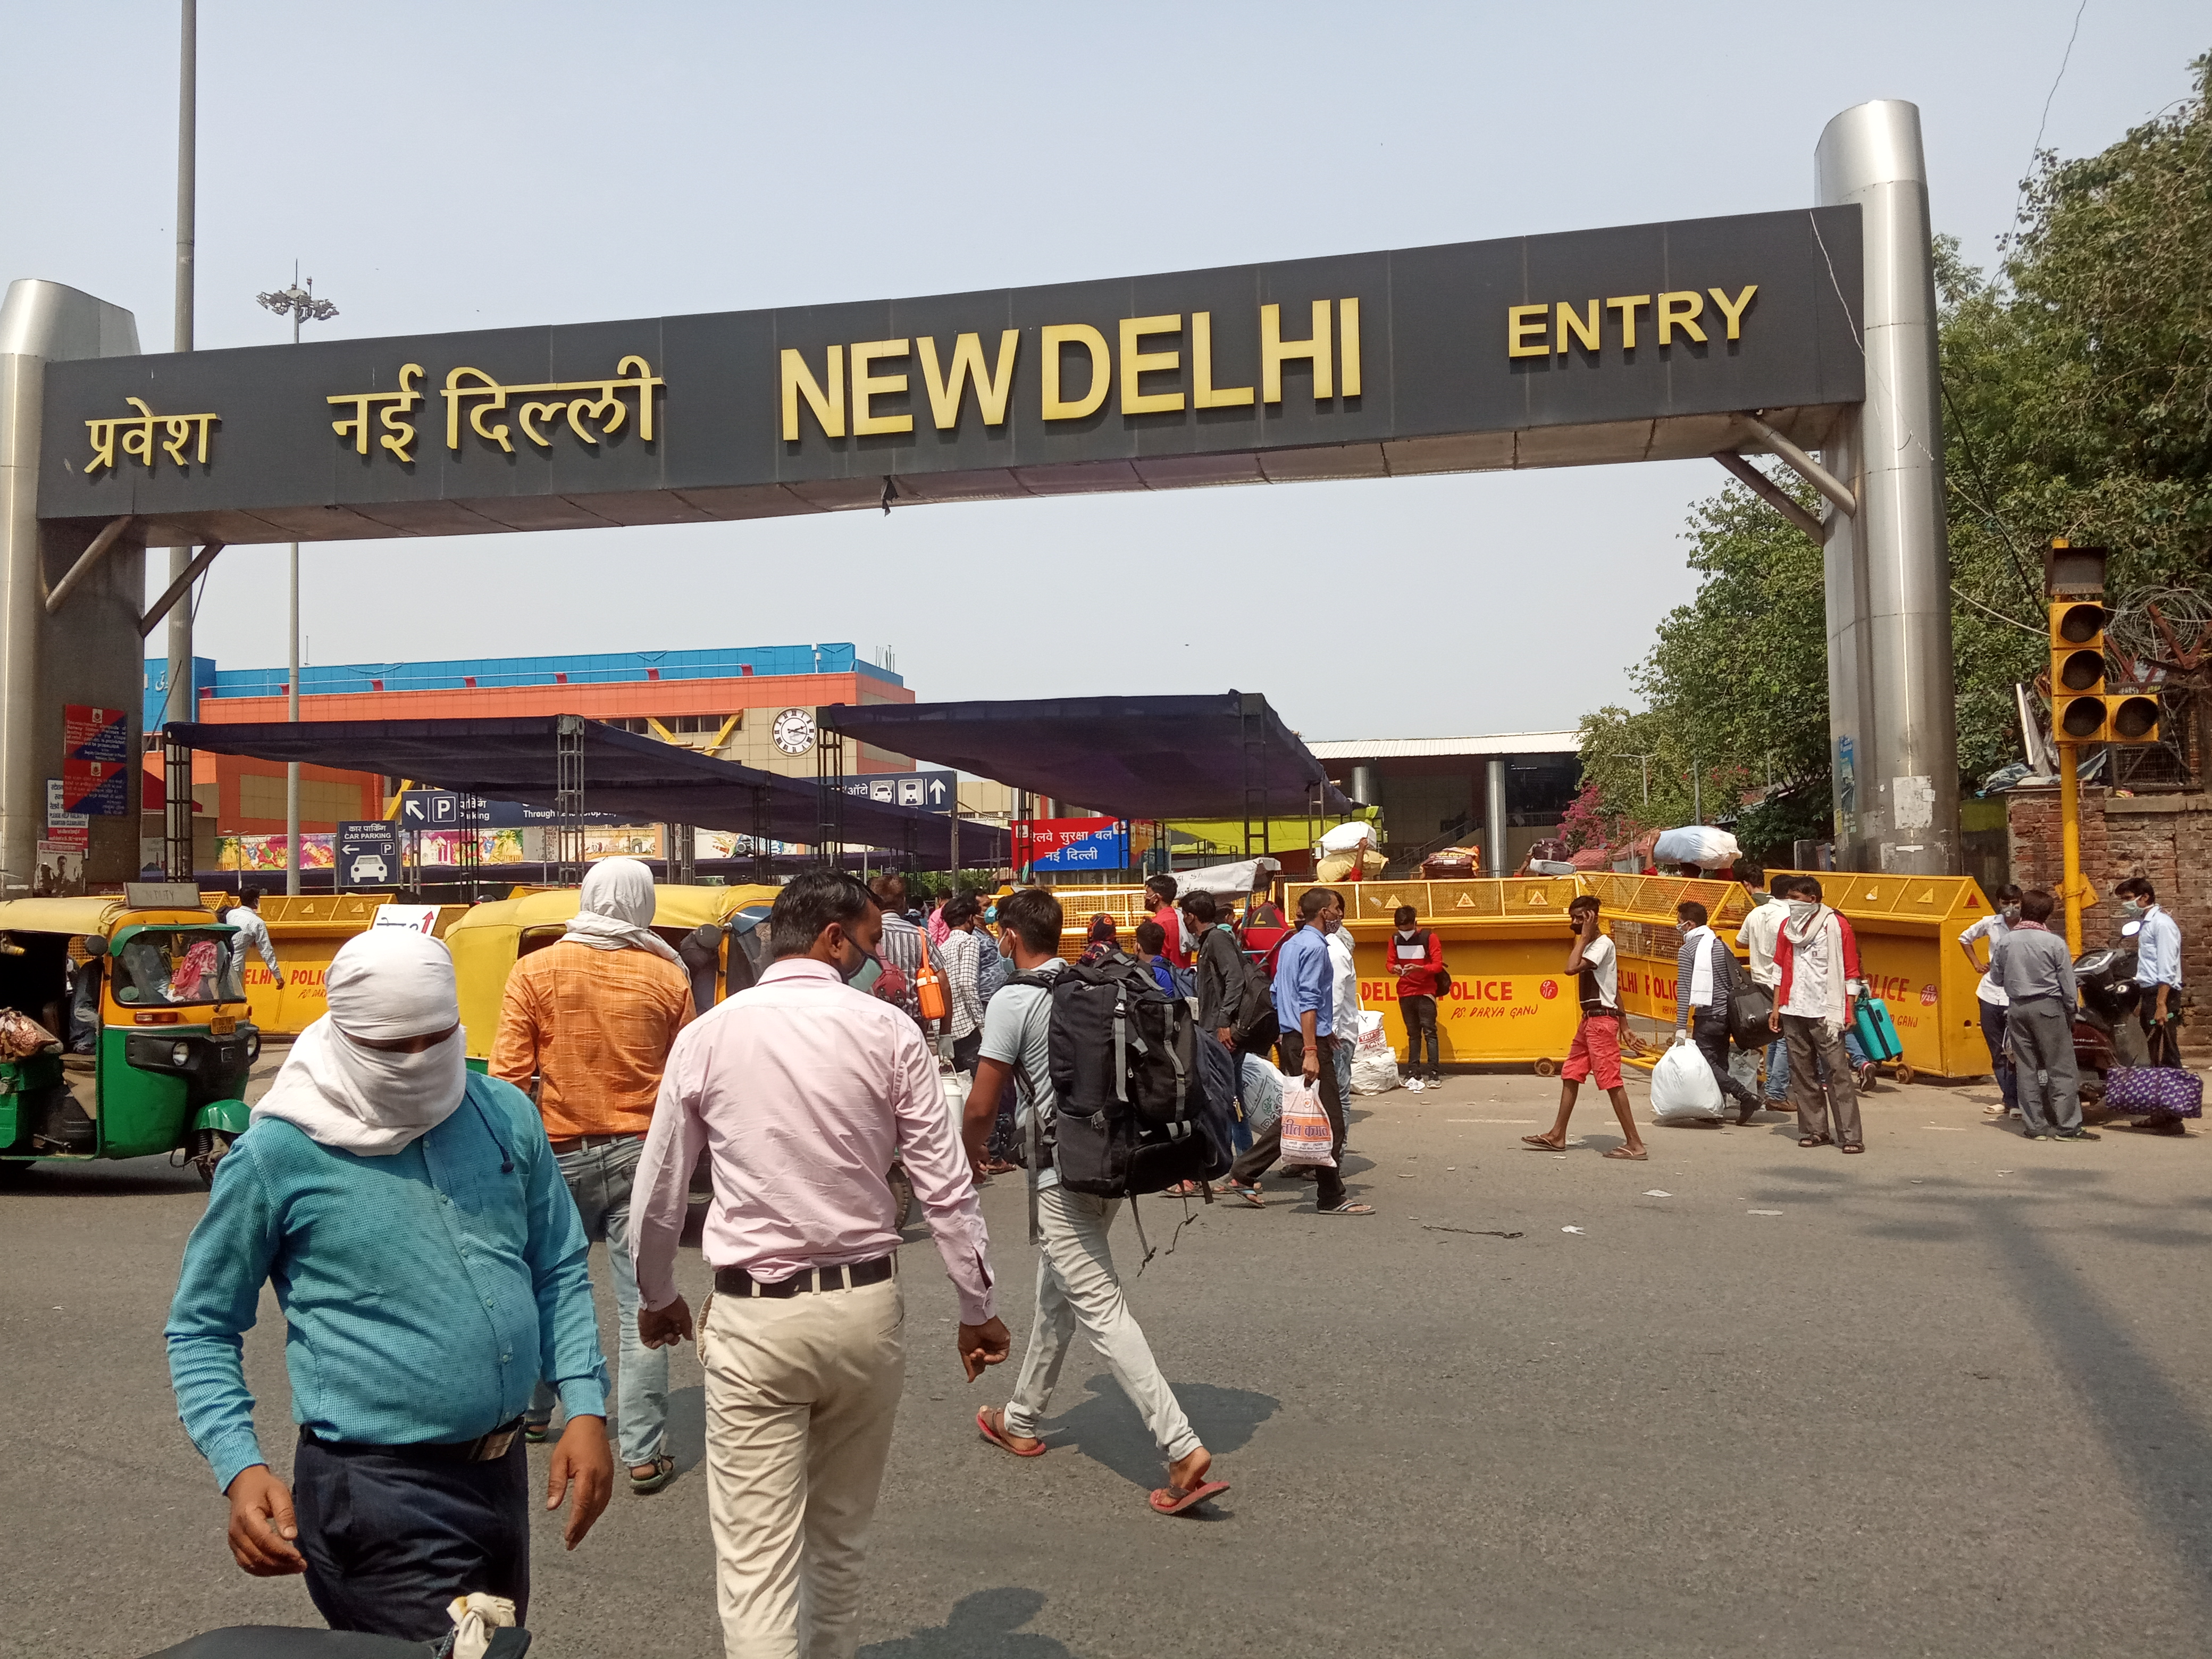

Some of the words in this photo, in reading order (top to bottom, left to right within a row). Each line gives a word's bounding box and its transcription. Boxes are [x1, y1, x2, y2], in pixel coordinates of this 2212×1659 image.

[1506, 281, 1760, 367] ENTRY
[1039, 294, 1364, 428] DELHI
[776, 325, 1025, 447] NEW
[326, 359, 428, 465] नई
[434, 351, 666, 456] दिल्‍ली
[69, 392, 221, 482] प्रवेश
[342, 830, 361, 843] CAR
[347, 823, 364, 834] कार
[361, 819, 389, 833] पार्किंग
[359, 831, 393, 841] PARKING
[1026, 826, 1056, 846] रेलवे
[1057, 829, 1090, 850] सुरक्षा
[1093, 829, 1113, 843] बल
[1043, 845, 1062, 865] नई
[1063, 844, 1099, 863] दिल्ली